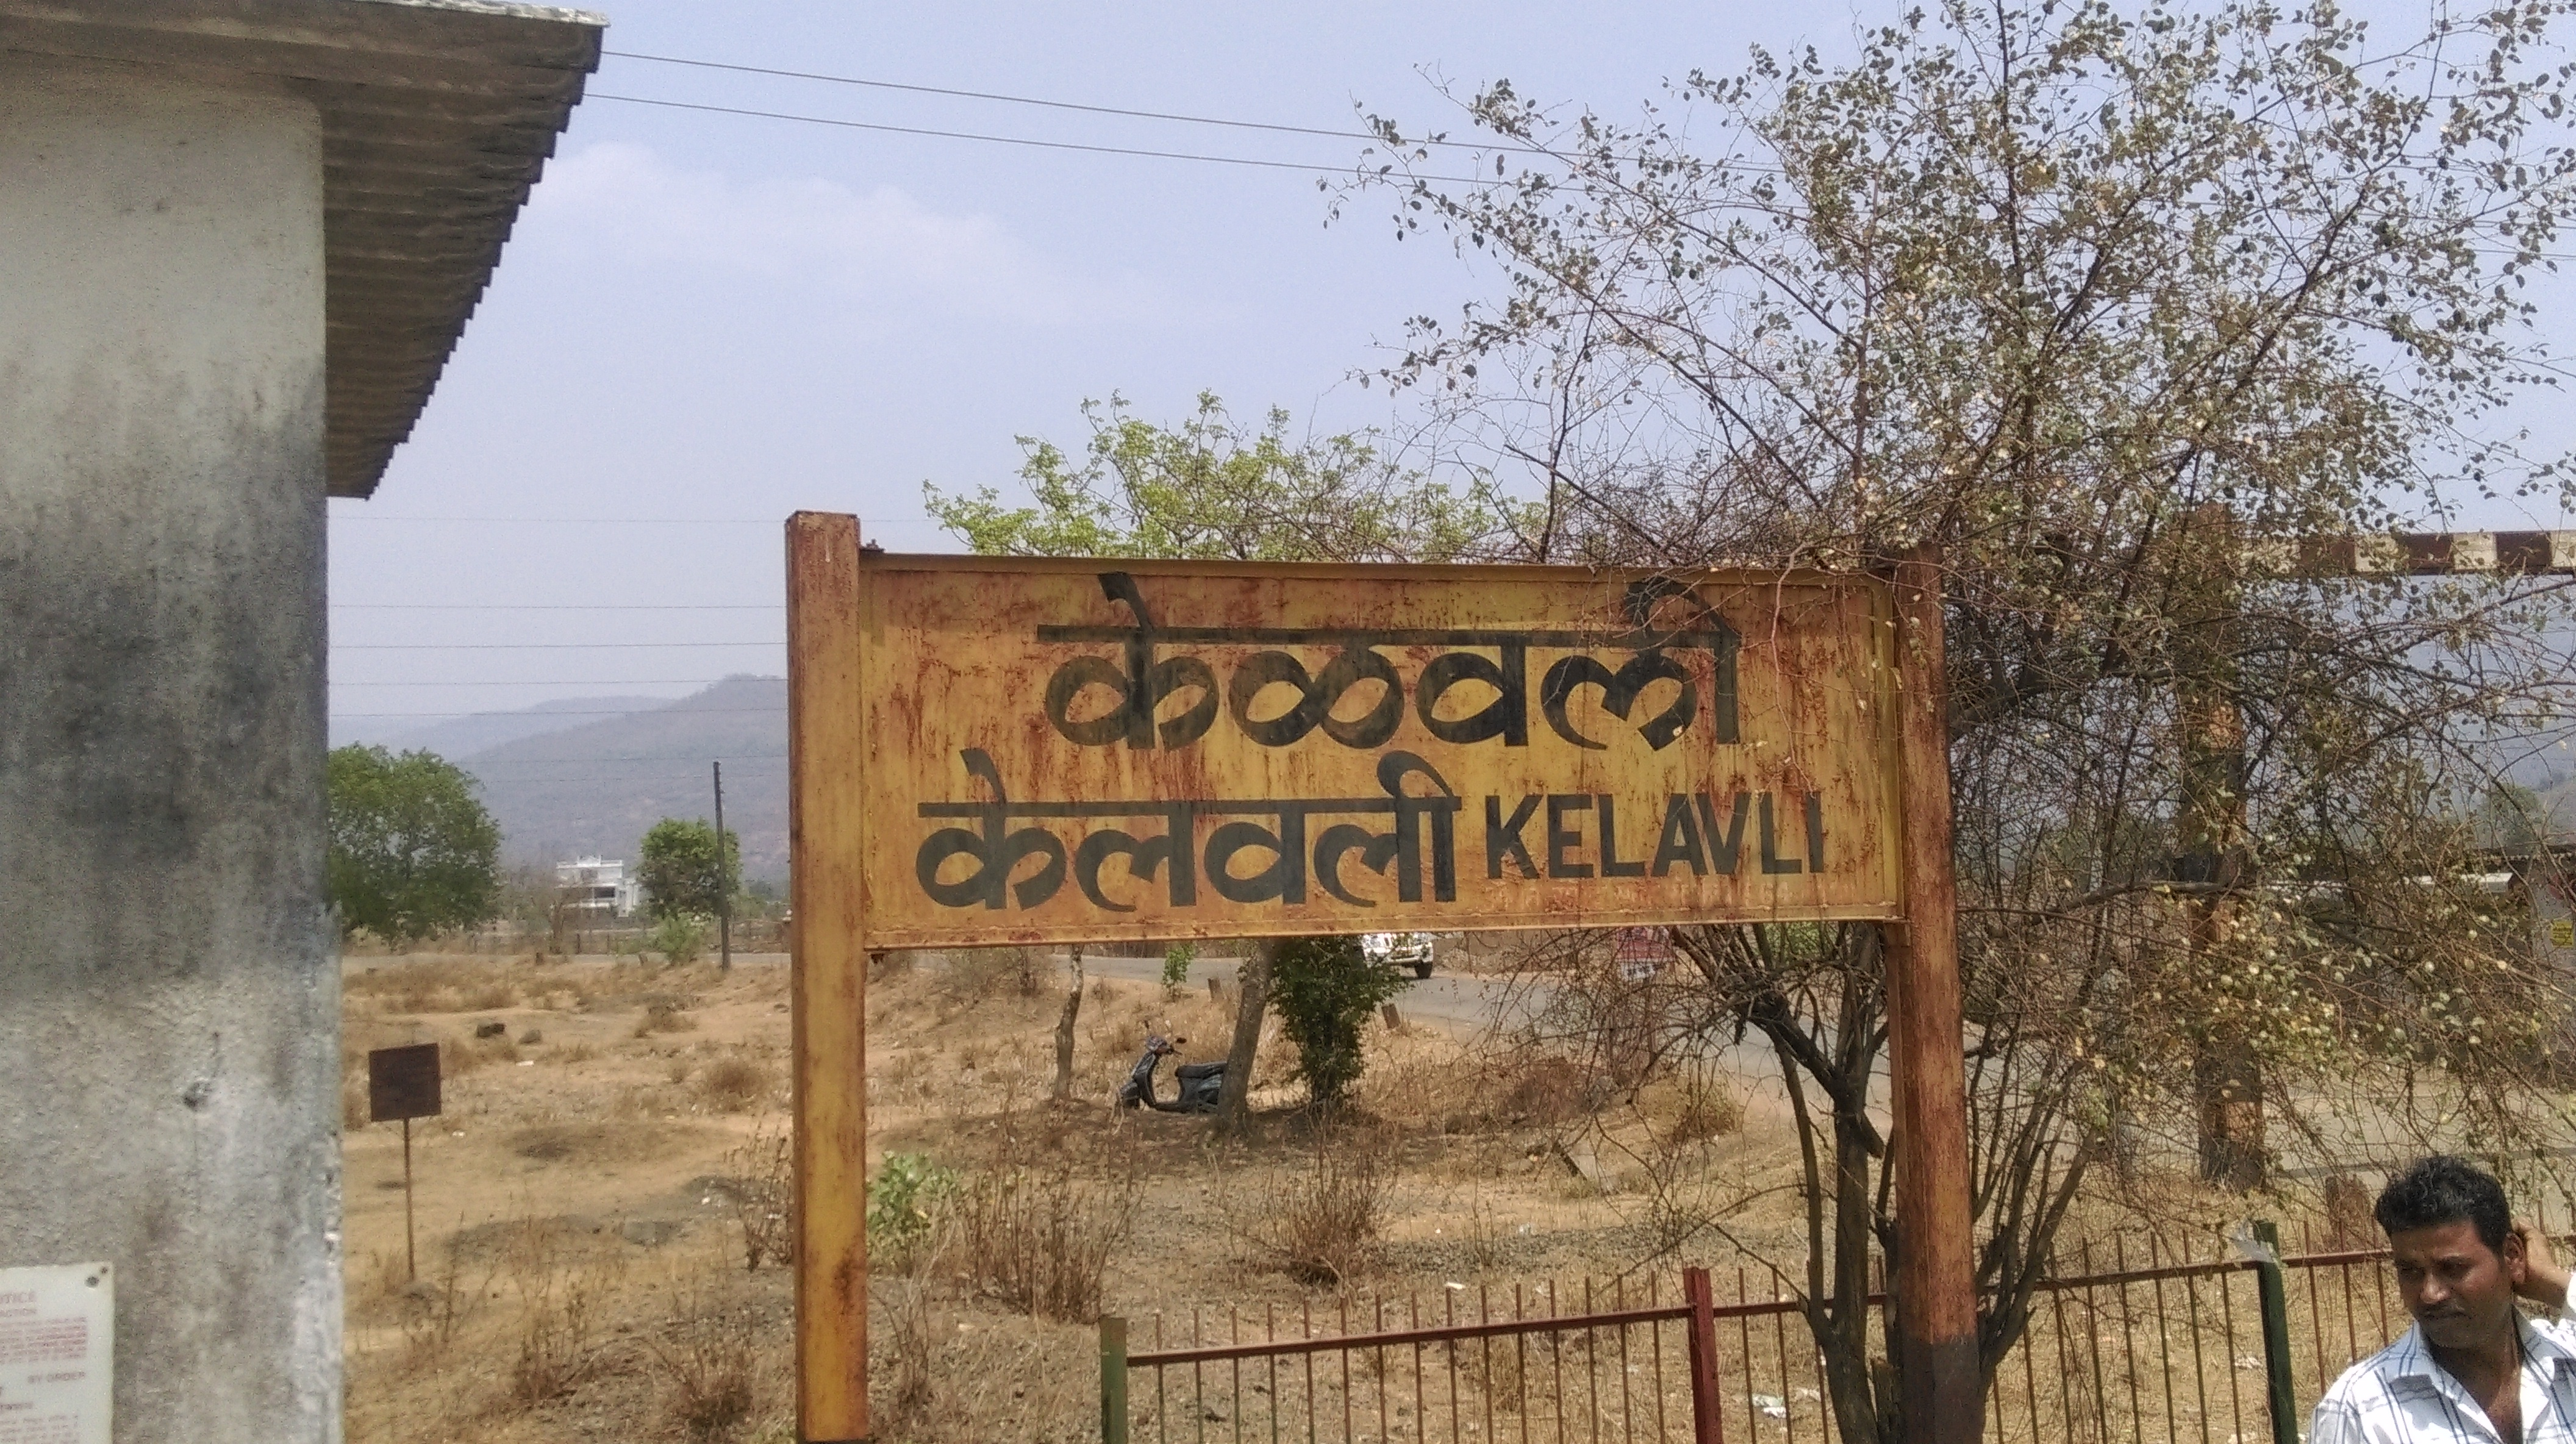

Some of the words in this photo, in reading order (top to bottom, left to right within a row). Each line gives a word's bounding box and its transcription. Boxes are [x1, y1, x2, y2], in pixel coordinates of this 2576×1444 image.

[1022, 556, 1751, 757] केळवली
[907, 733, 1470, 922] केलवली
[1482, 782, 1833, 885] KELAVLI